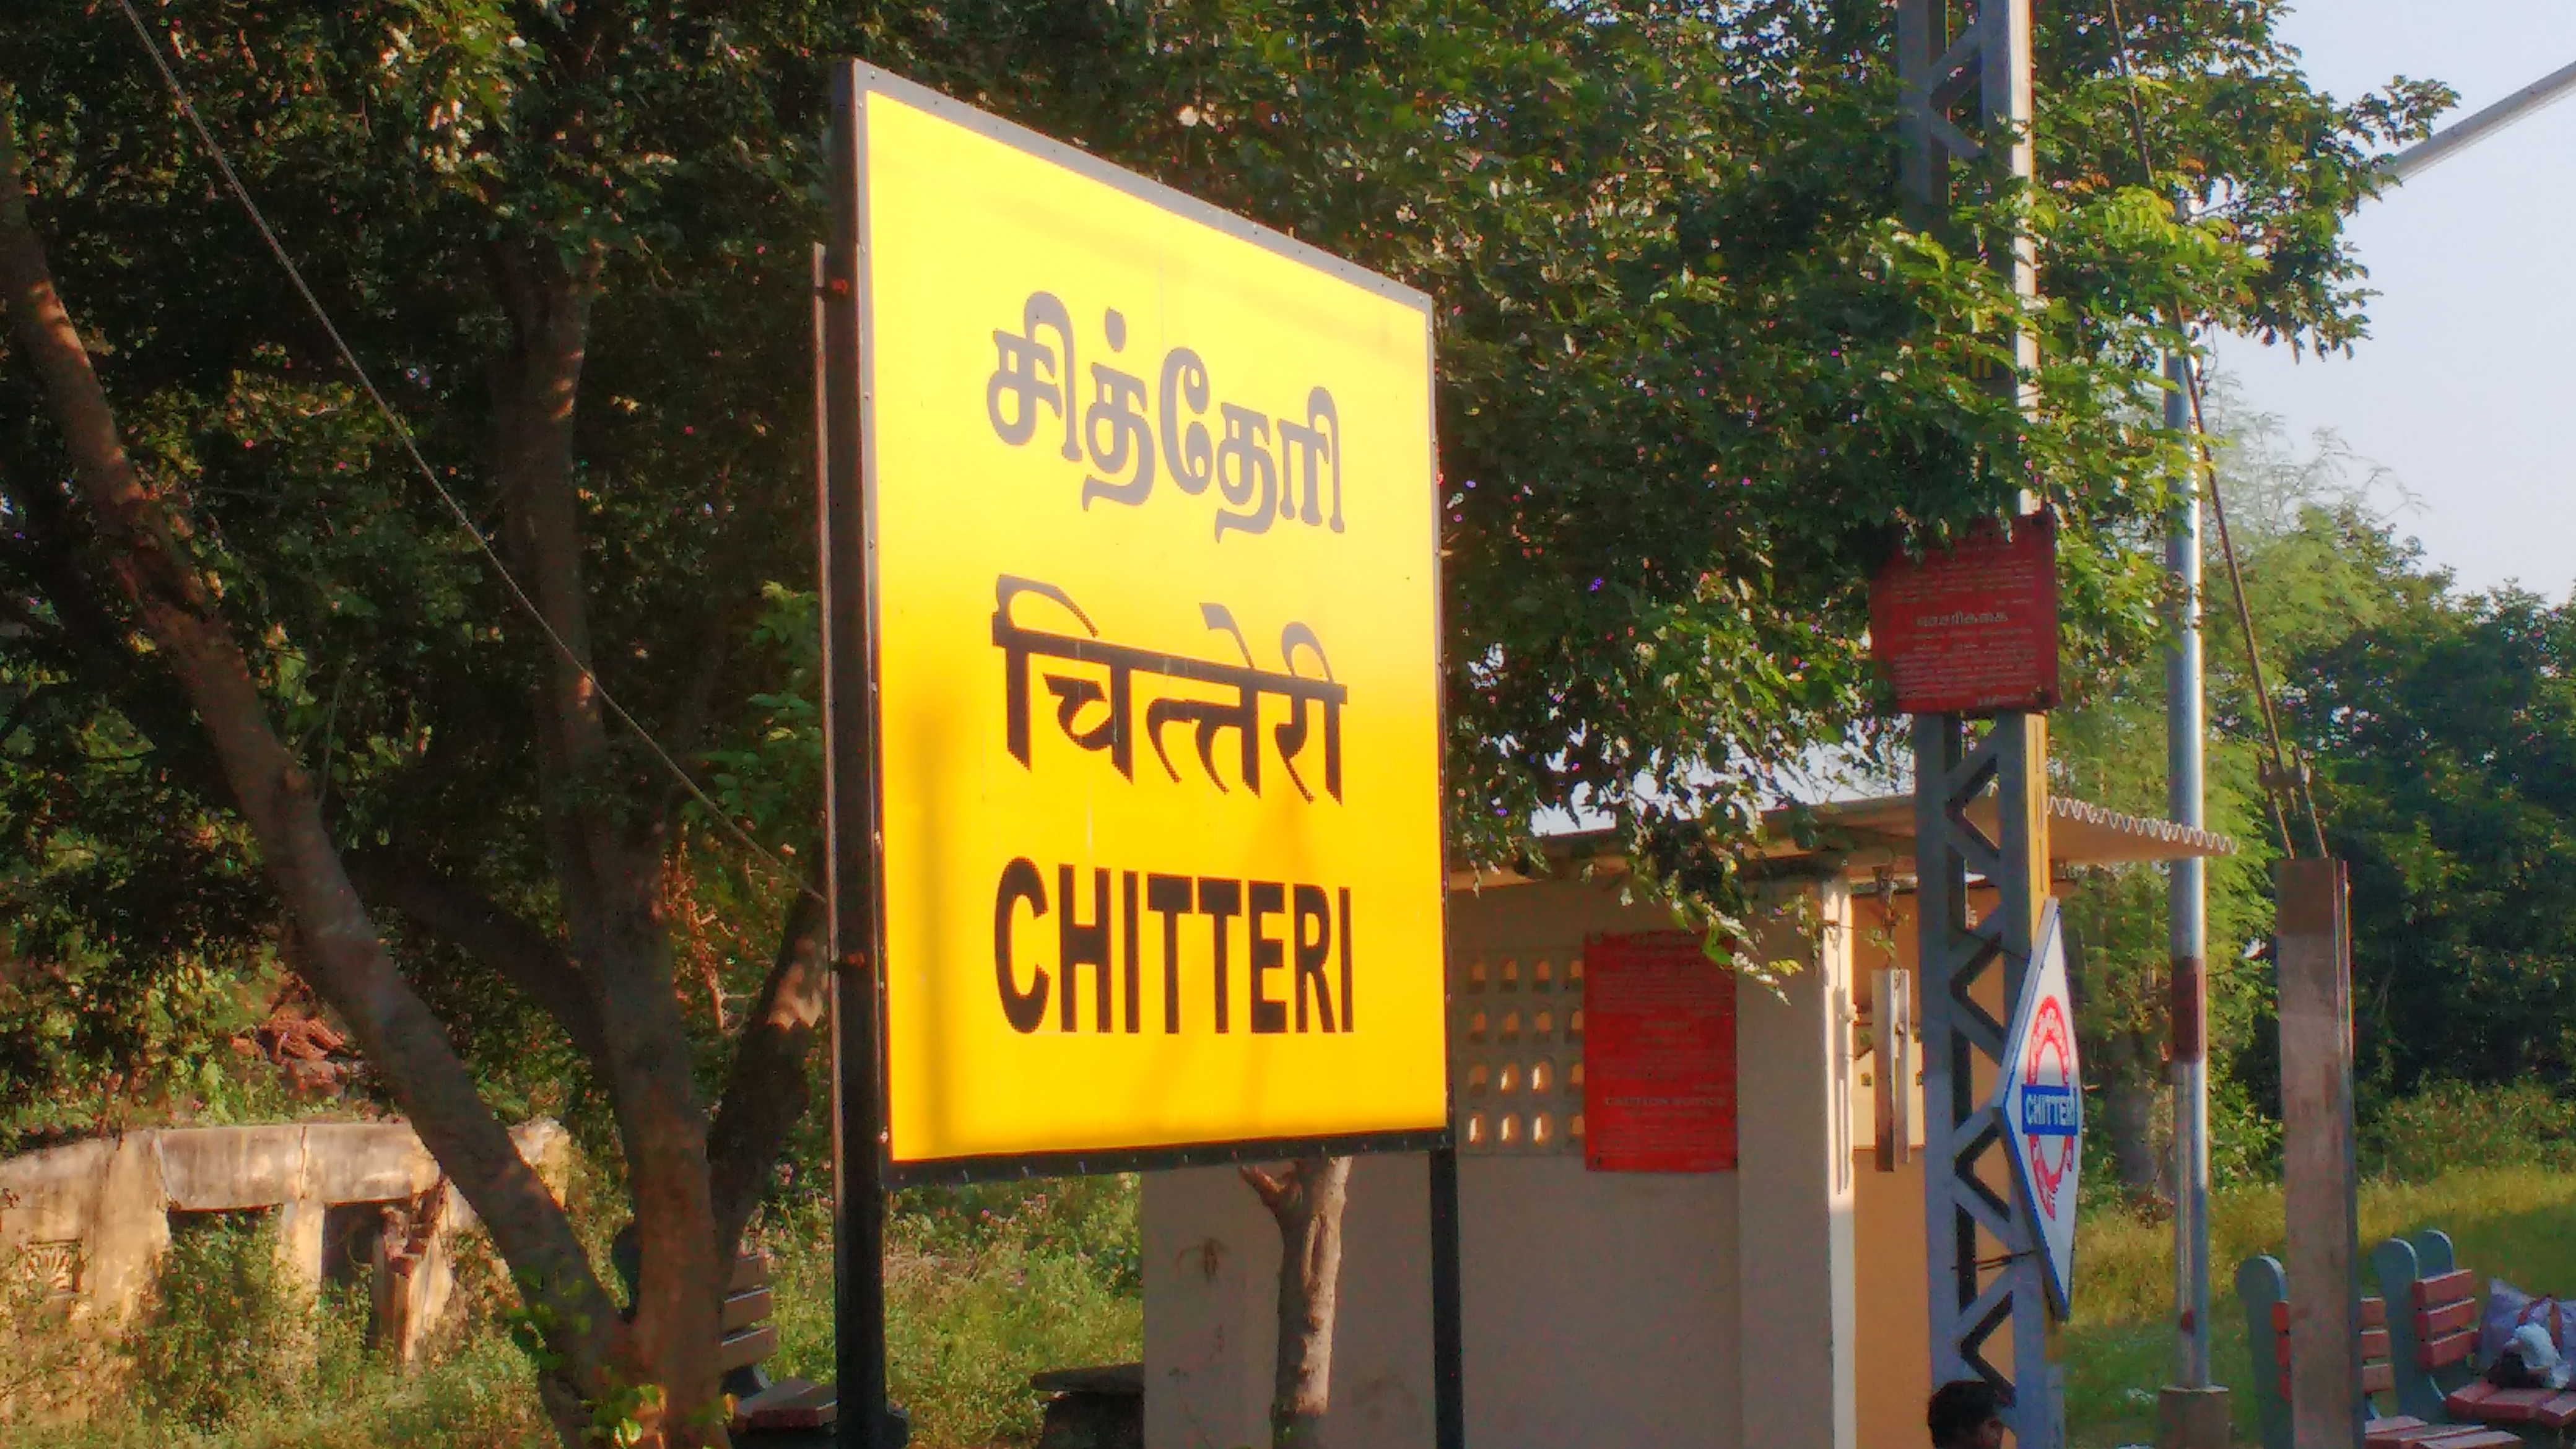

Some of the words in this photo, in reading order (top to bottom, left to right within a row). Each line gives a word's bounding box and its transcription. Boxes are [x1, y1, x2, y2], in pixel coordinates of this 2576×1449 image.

[981, 284, 1365, 557] சித்தோி
[977, 566, 1355, 814] चित्त्तेरी
[980, 846, 1357, 1040] CHITTERI